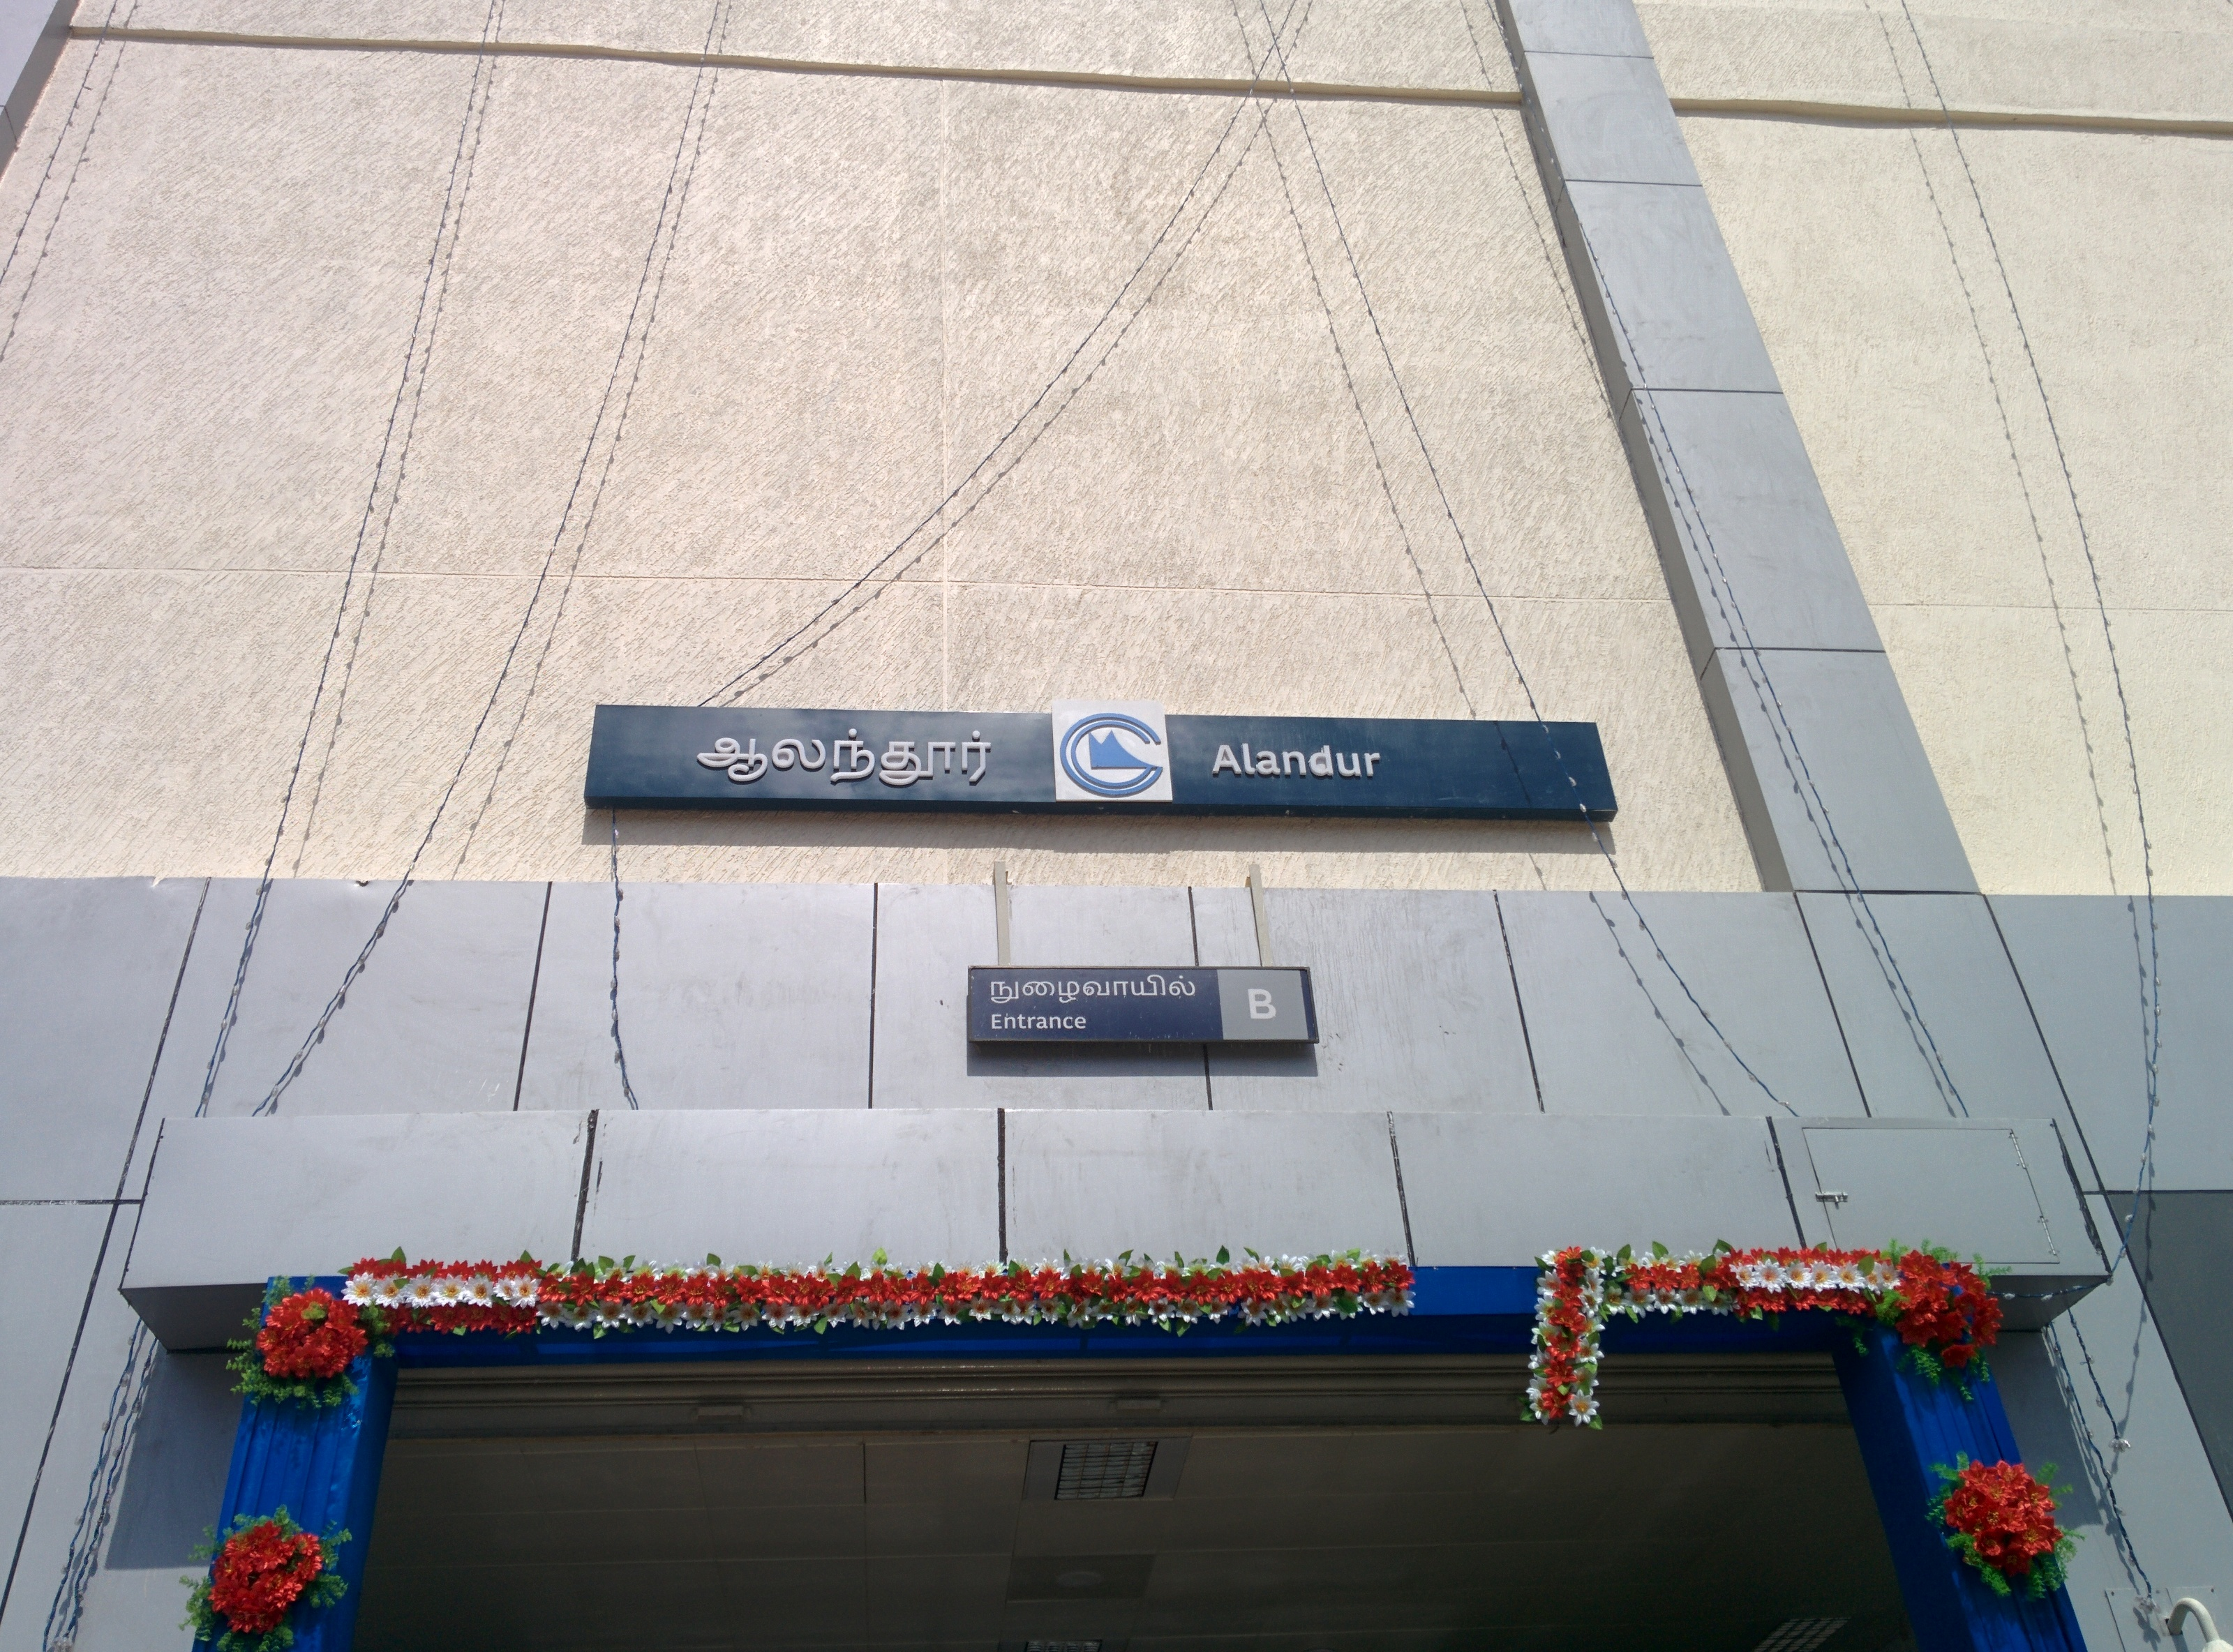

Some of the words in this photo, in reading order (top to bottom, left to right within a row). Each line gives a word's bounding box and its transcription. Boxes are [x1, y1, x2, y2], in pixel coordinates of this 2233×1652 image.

[692, 721, 996, 792] ஆலந்தூர்
[1208, 739, 1384, 780] Alandur
[987, 970, 1200, 1005] நுழைவாயில்
[989, 1009, 1089, 1033] Entrance